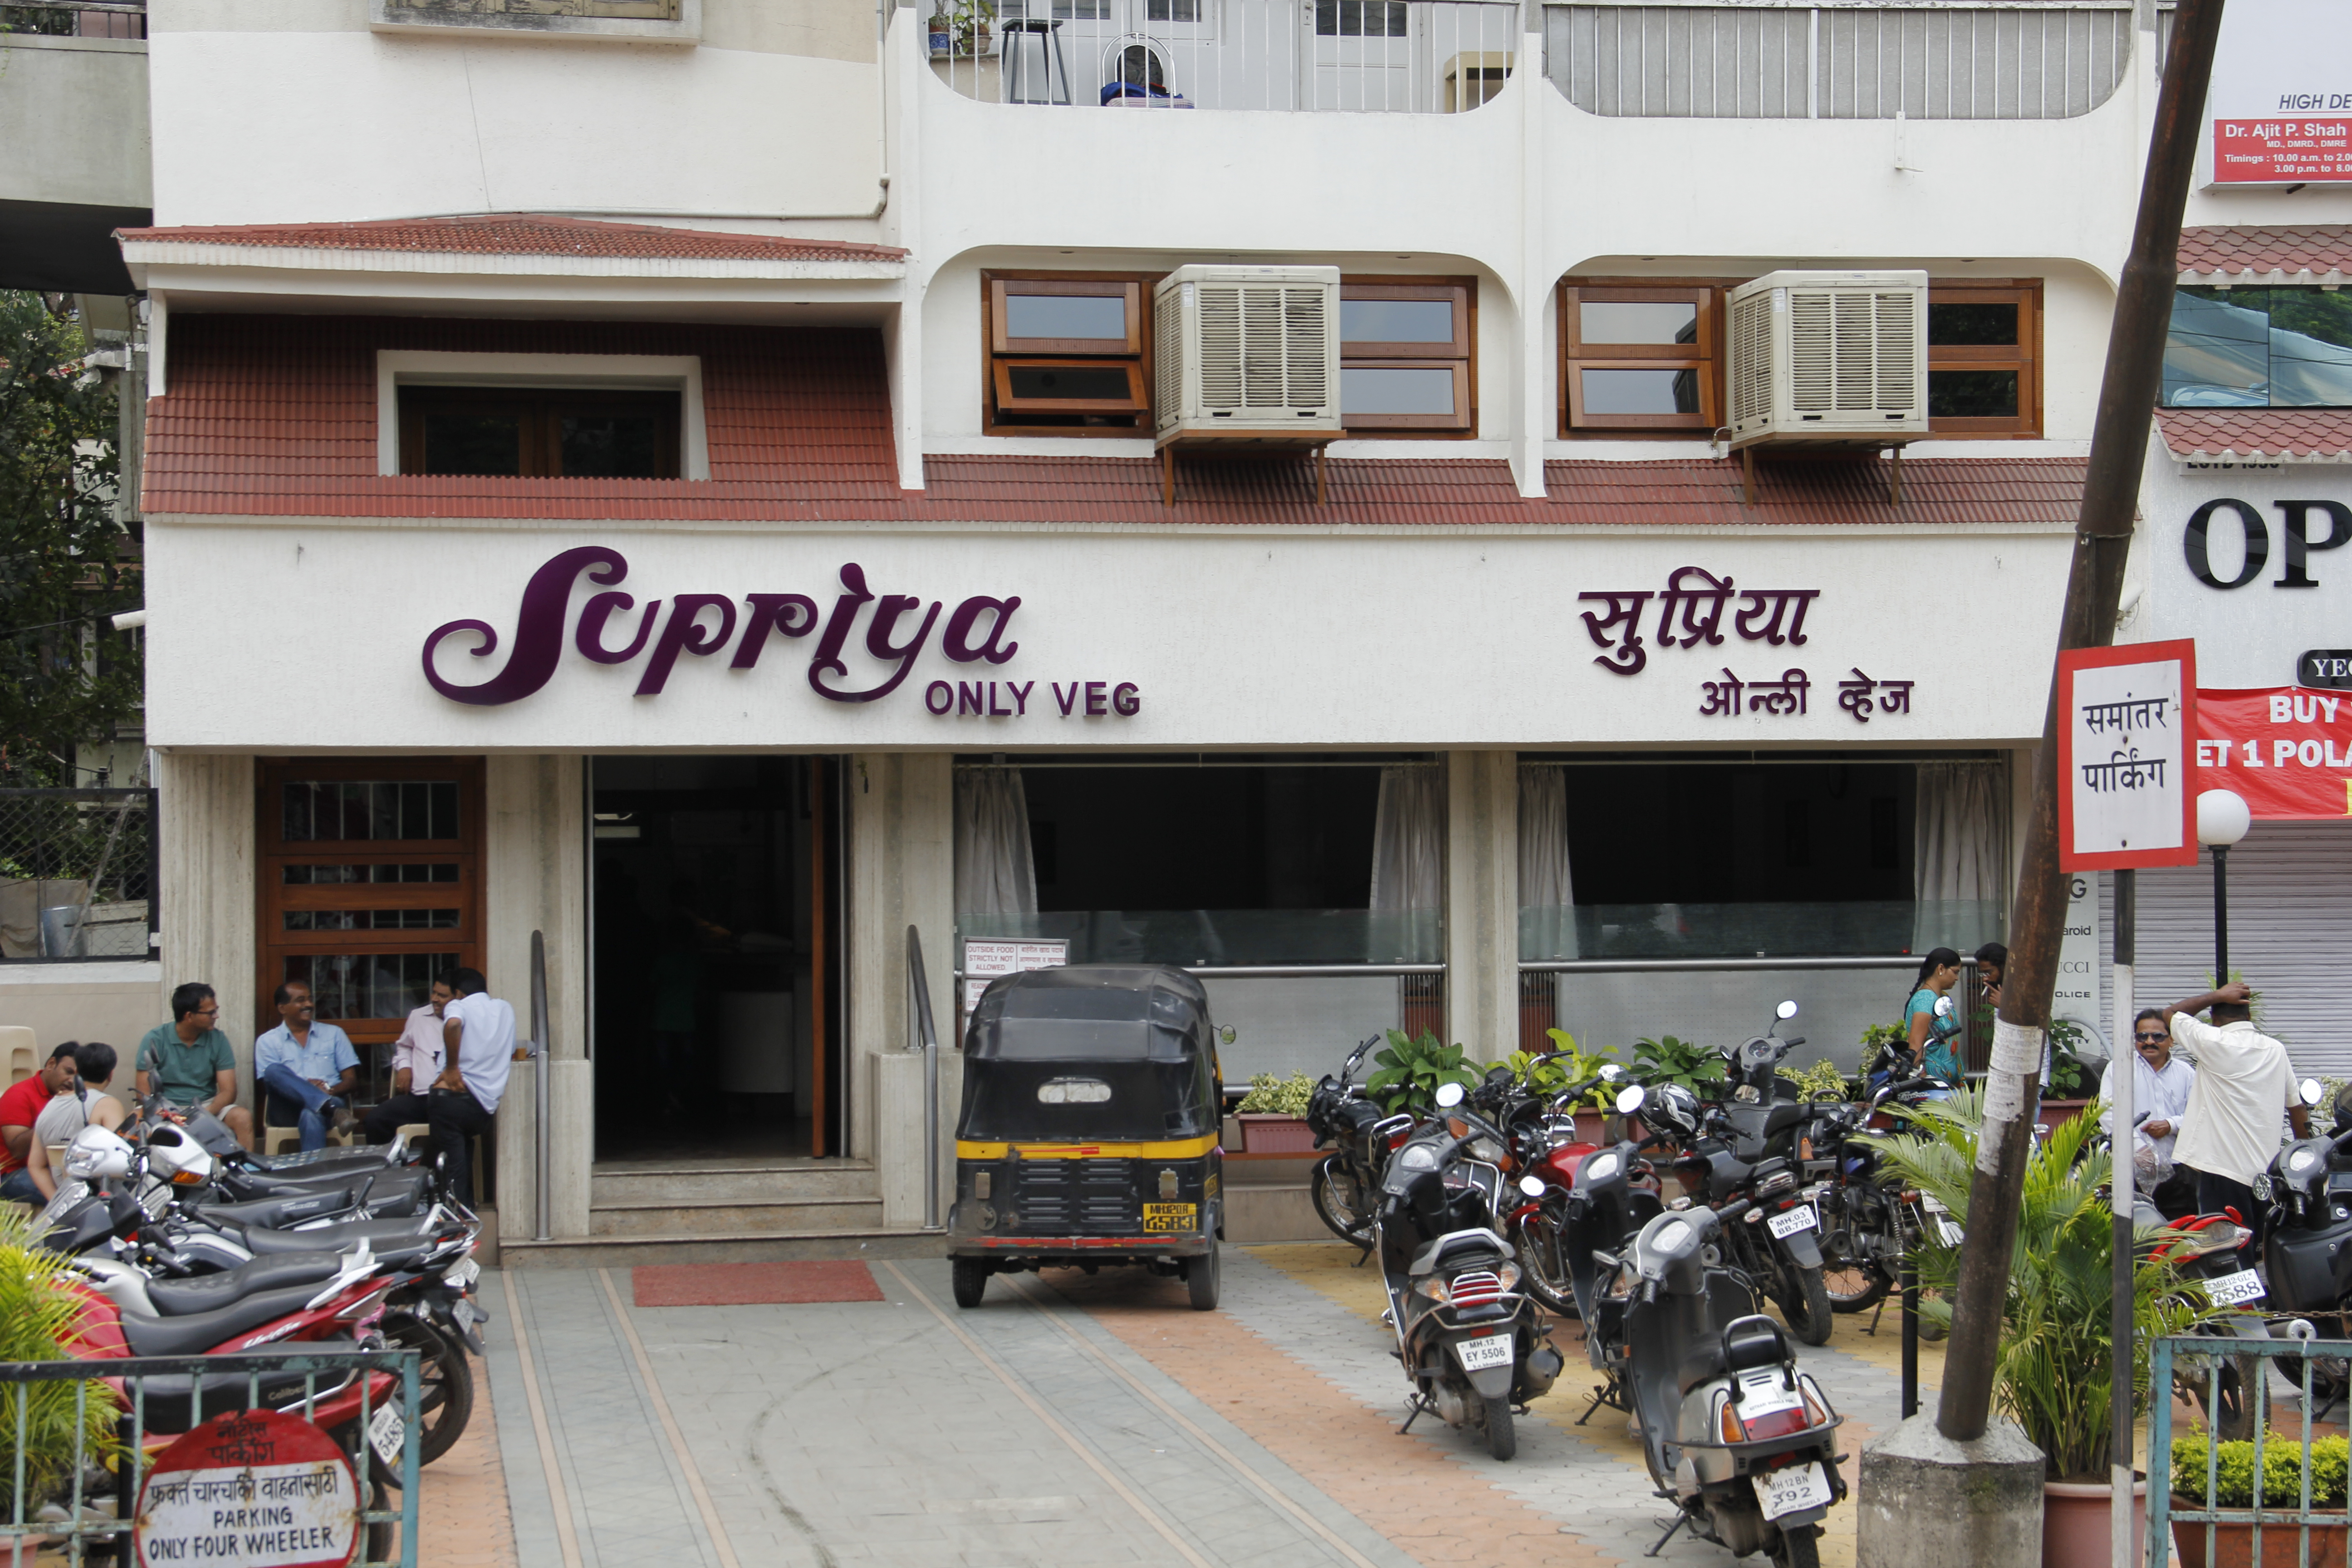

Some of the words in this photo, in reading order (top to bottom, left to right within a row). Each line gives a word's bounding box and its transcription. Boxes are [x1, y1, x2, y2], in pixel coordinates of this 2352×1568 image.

[2274, 87, 2329, 113] HIGH
[2220, 116, 2252, 142] Dr.
[2221, 150, 2269, 167] Timings:
[2247, 115, 2286, 144] Ajit
[2263, 133, 2319, 152] 110ः011801
[2271, 159, 2322, 177] 3.00p.m.
[2270, 146, 2338, 165] 10.00a.m.to
[2283, 119, 2348, 142] P.Shah
[2318, 160, 2336, 176] to
[2317, 132, 2351, 151] DMRE
[2174, 484, 2352, 605] OP
[422, 548, 1029, 718] Supriya
[1569, 564, 1825, 677] सुप्रिया
[922, 671, 1038, 729] ONLY
[1039, 669, 1147, 731] VEG
[1688, 662, 1814, 733] ओन्ली
[1830, 660, 1919, 732] व्हेज
[2082, 687, 2171, 742] समांतर
[2260, 689, 2343, 727] BUY
[2237, 730, 2348, 775] 1POL
[2078, 743, 2168, 798] पार्किंग
[966, 942, 996, 955] OUTSIDE
[967, 952, 999, 963] STRICTLY
[974, 961, 1008, 973] ALLOWED
[995, 944, 1016, 955] FOOD
[999, 951, 1015, 965] NOT
[1019, 943, 1040, 955] बाहेरील
[1050, 944, 1066, 955] पदार्थ
[211, 1415, 272, 1445] नोटीस
[206, 1436, 280, 1471] पार्कींग
[145, 1478, 193, 1507] फक्त
[191, 1469, 263, 1504] चारचाकी
[257, 1461, 342, 1502] वाहनांसाठी
[212, 1502, 294, 1534] PARKING
[148, 1534, 191, 1563] ONLY
[193, 1533, 240, 1559] FOUR
[244, 1524, 336, 1558] WHEELER